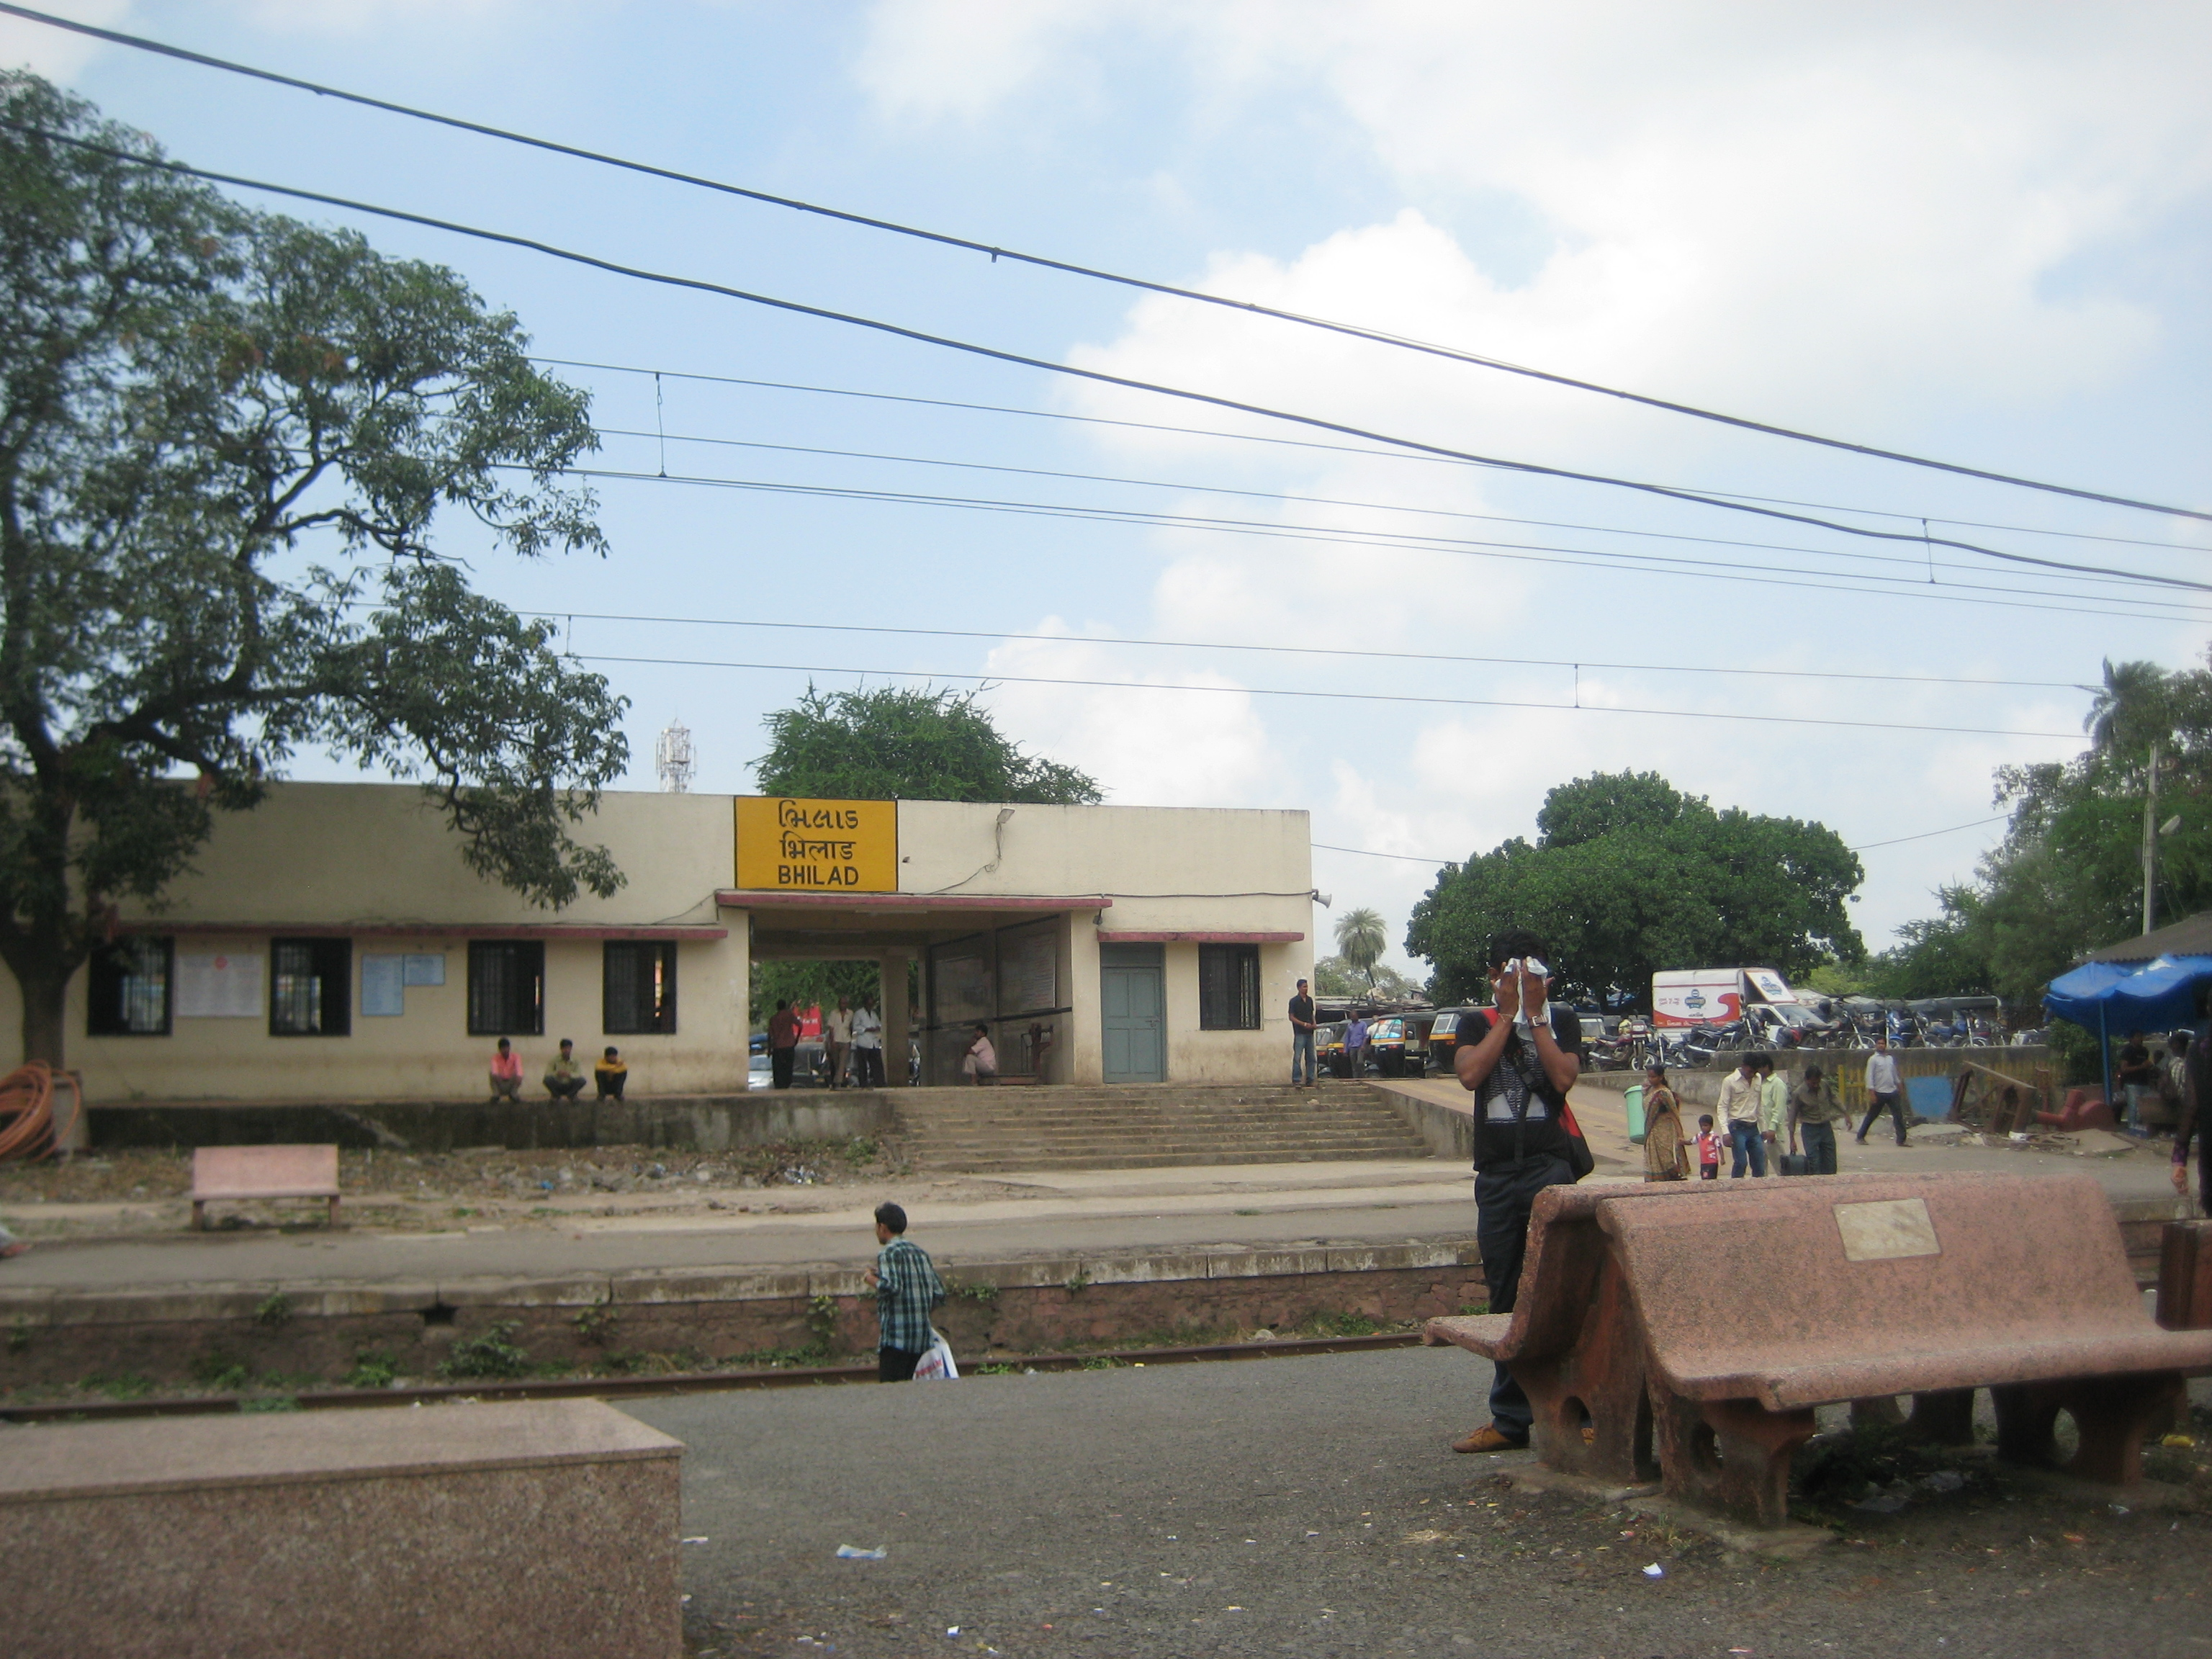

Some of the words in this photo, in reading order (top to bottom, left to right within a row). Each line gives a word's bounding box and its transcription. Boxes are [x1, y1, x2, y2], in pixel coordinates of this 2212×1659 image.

[774, 798, 860, 832] ભિલાડ
[775, 828, 860, 863] भिलाड
[775, 863, 862, 887] BHILAD